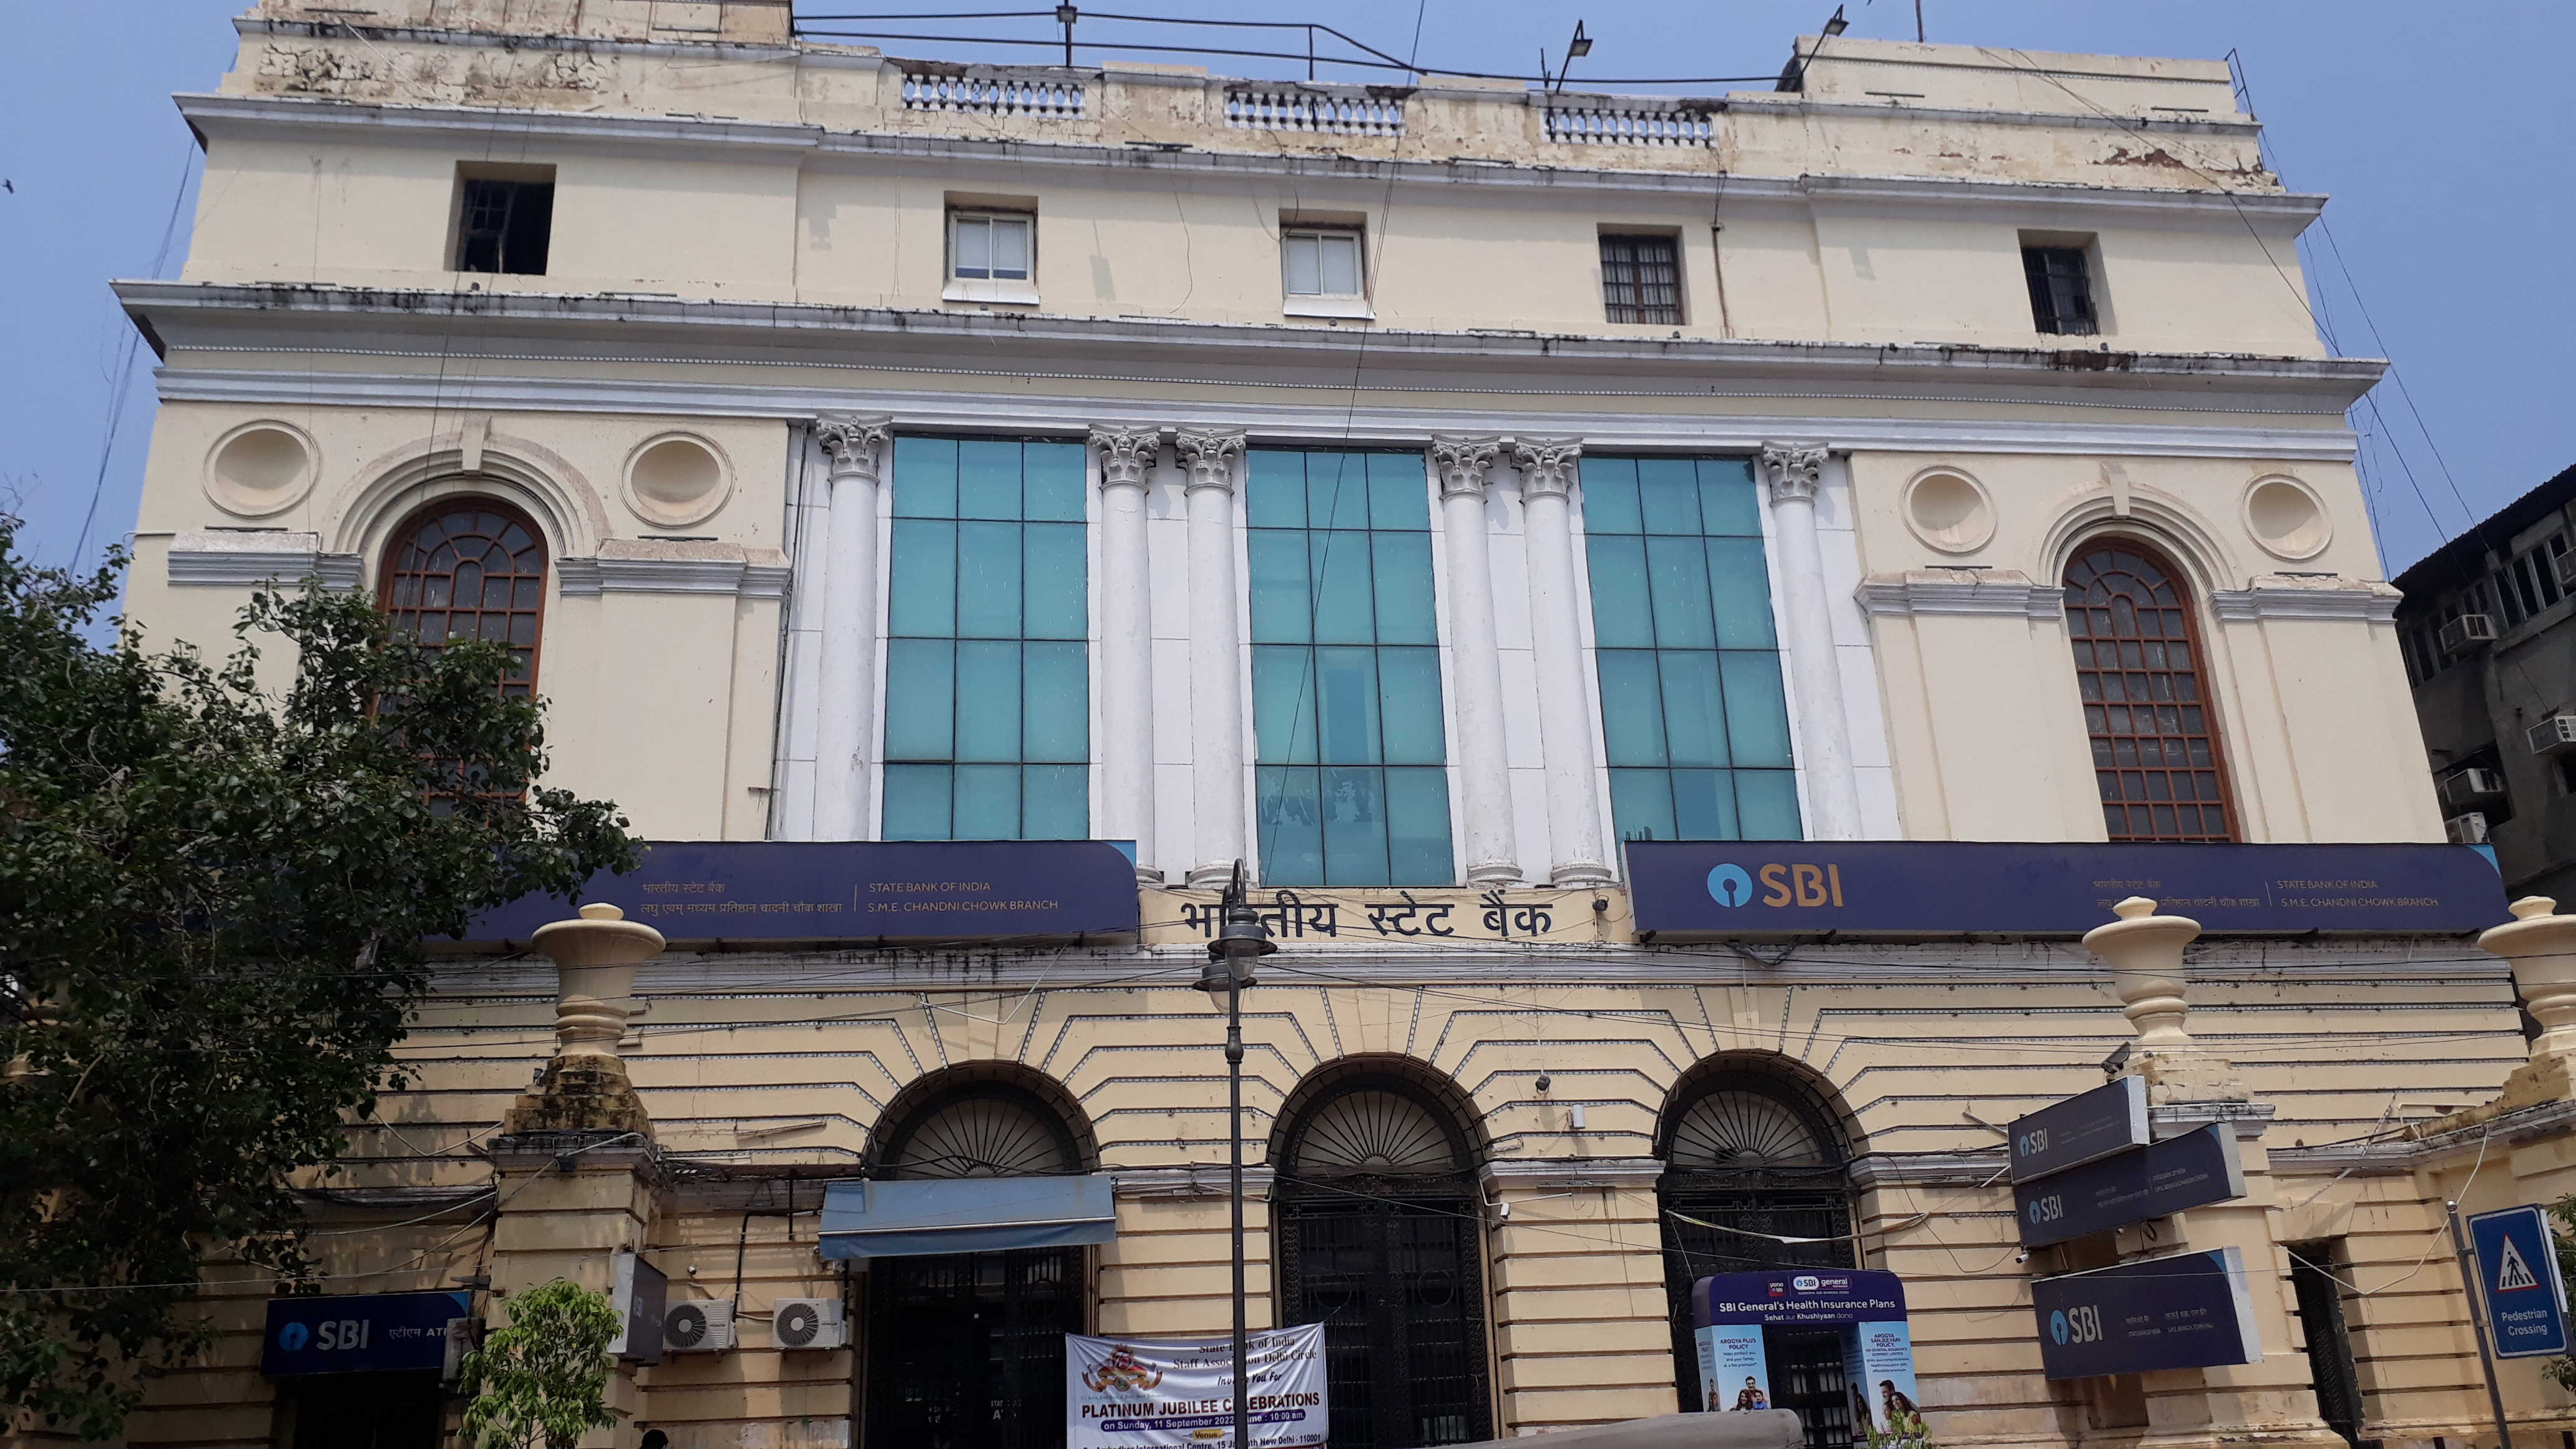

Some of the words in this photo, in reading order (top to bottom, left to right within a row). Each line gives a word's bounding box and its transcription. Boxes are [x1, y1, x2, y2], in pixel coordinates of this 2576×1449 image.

[640, 876, 681, 895] भारतीय
[680, 877, 706, 895] स्टेट
[703, 877, 729, 896] बैंक
[864, 881, 906, 897] STATE
[904, 881, 940, 895] BANK
[939, 881, 956, 895] OF
[957, 881, 992, 894] INDIA
[1755, 854, 1850, 914] SBI
[2092, 876, 2126, 892] भारतीय
[2124, 874, 2146, 893] स्टेट
[2140, 877, 2164, 893] बैेक
[2276, 877, 2307, 892] STATE
[2306, 879, 2336, 892] BANK
[2333, 878, 2351, 893] OF
[2346, 876, 2380, 893] INDIA
[640, 902, 661, 920] लघु
[661, 902, 685, 919] एवम्
[684, 901, 717, 916] मध्यम
[718, 897, 759, 917] प्रतिष्ठान
[759, 898, 789, 916] चांदनी
[792, 897, 816, 917] चौक
[815, 900, 847, 915] शाखा
[864, 899, 902, 915] S.M.E.
[902, 897, 961, 915] CHANDNI
[959, 898, 1010, 914] CHOWK
[1007, 897, 1061, 913] BRANCH
[1178, 885, 1339, 940] भारतीय
[1361, 885, 1458, 941] स्टेट
[1471, 885, 1556, 941] बैंक
[2095, 897, 2117, 913] लघु
[2159, 892, 2192, 910] प्रतिष्ठान
[2191, 894, 2218, 910] चांदनी
[2217, 894, 2238, 909] चौक
[2236, 895, 2261, 910] शाखा
[2279, 894, 2309, 910] S.M.E.
[2309, 895, 2359, 911] CHANDNI
[2357, 895, 2398, 910] CHOWK
[2395, 896, 2442, 911] BRANCH
[2024, 1124, 2052, 1159] SBI
[2029, 1189, 2065, 1224] SBI
[314, 1316, 372, 1353] SBI
[387, 1322, 423, 1341] एटीएम
[1170, 1355, 1203, 1373] Staff
[1198, 1341, 1226, 1356] State
[1201, 1352, 1262, 1369] Association
[1257, 1334, 1271, 1352] of
[1262, 1349, 1290, 1366] Delhi
[1270, 1331, 1299, 1349] India
[1290, 1347, 1319, 1362] Circle
[1717, 1300, 1739, 1315] SBI
[1735, 1299, 1787, 1315] General
[1762, 1312, 1786, 1324] Sehat
[1785, 1313, 1796, 1323] aur
[1784, 1298, 1822, 1312] Health
[1795, 1311, 1838, 1324] Khushiyaan
[1818, 1298, 1870, 1312] Insurance
[1834, 1311, 1856, 1324] dono
[1866, 1297, 1897, 1313] Plans
[2064, 1297, 2114, 1350] SBI
[2501, 1303, 2550, 1325] Pedestrian
[2503, 1320, 2550, 1338] Crossing
[1081, 1397, 1158, 1420] PLATINUM
[1156, 1397, 1220, 1420] JUBILEE
[1220, 1390, 1321, 1414] CELEBRATIONS
[1102, 1421, 1117, 1433] on
[1115, 1418, 1152, 1433] Sunday,
[1153, 1418, 1164, 1431] 11
[1161, 1417, 1214, 1432] September
[1212, 1413, 1239, 1427] 2022
[1259, 1435, 1279, 1447] New
[1277, 1433, 1298, 1446] Delhi-